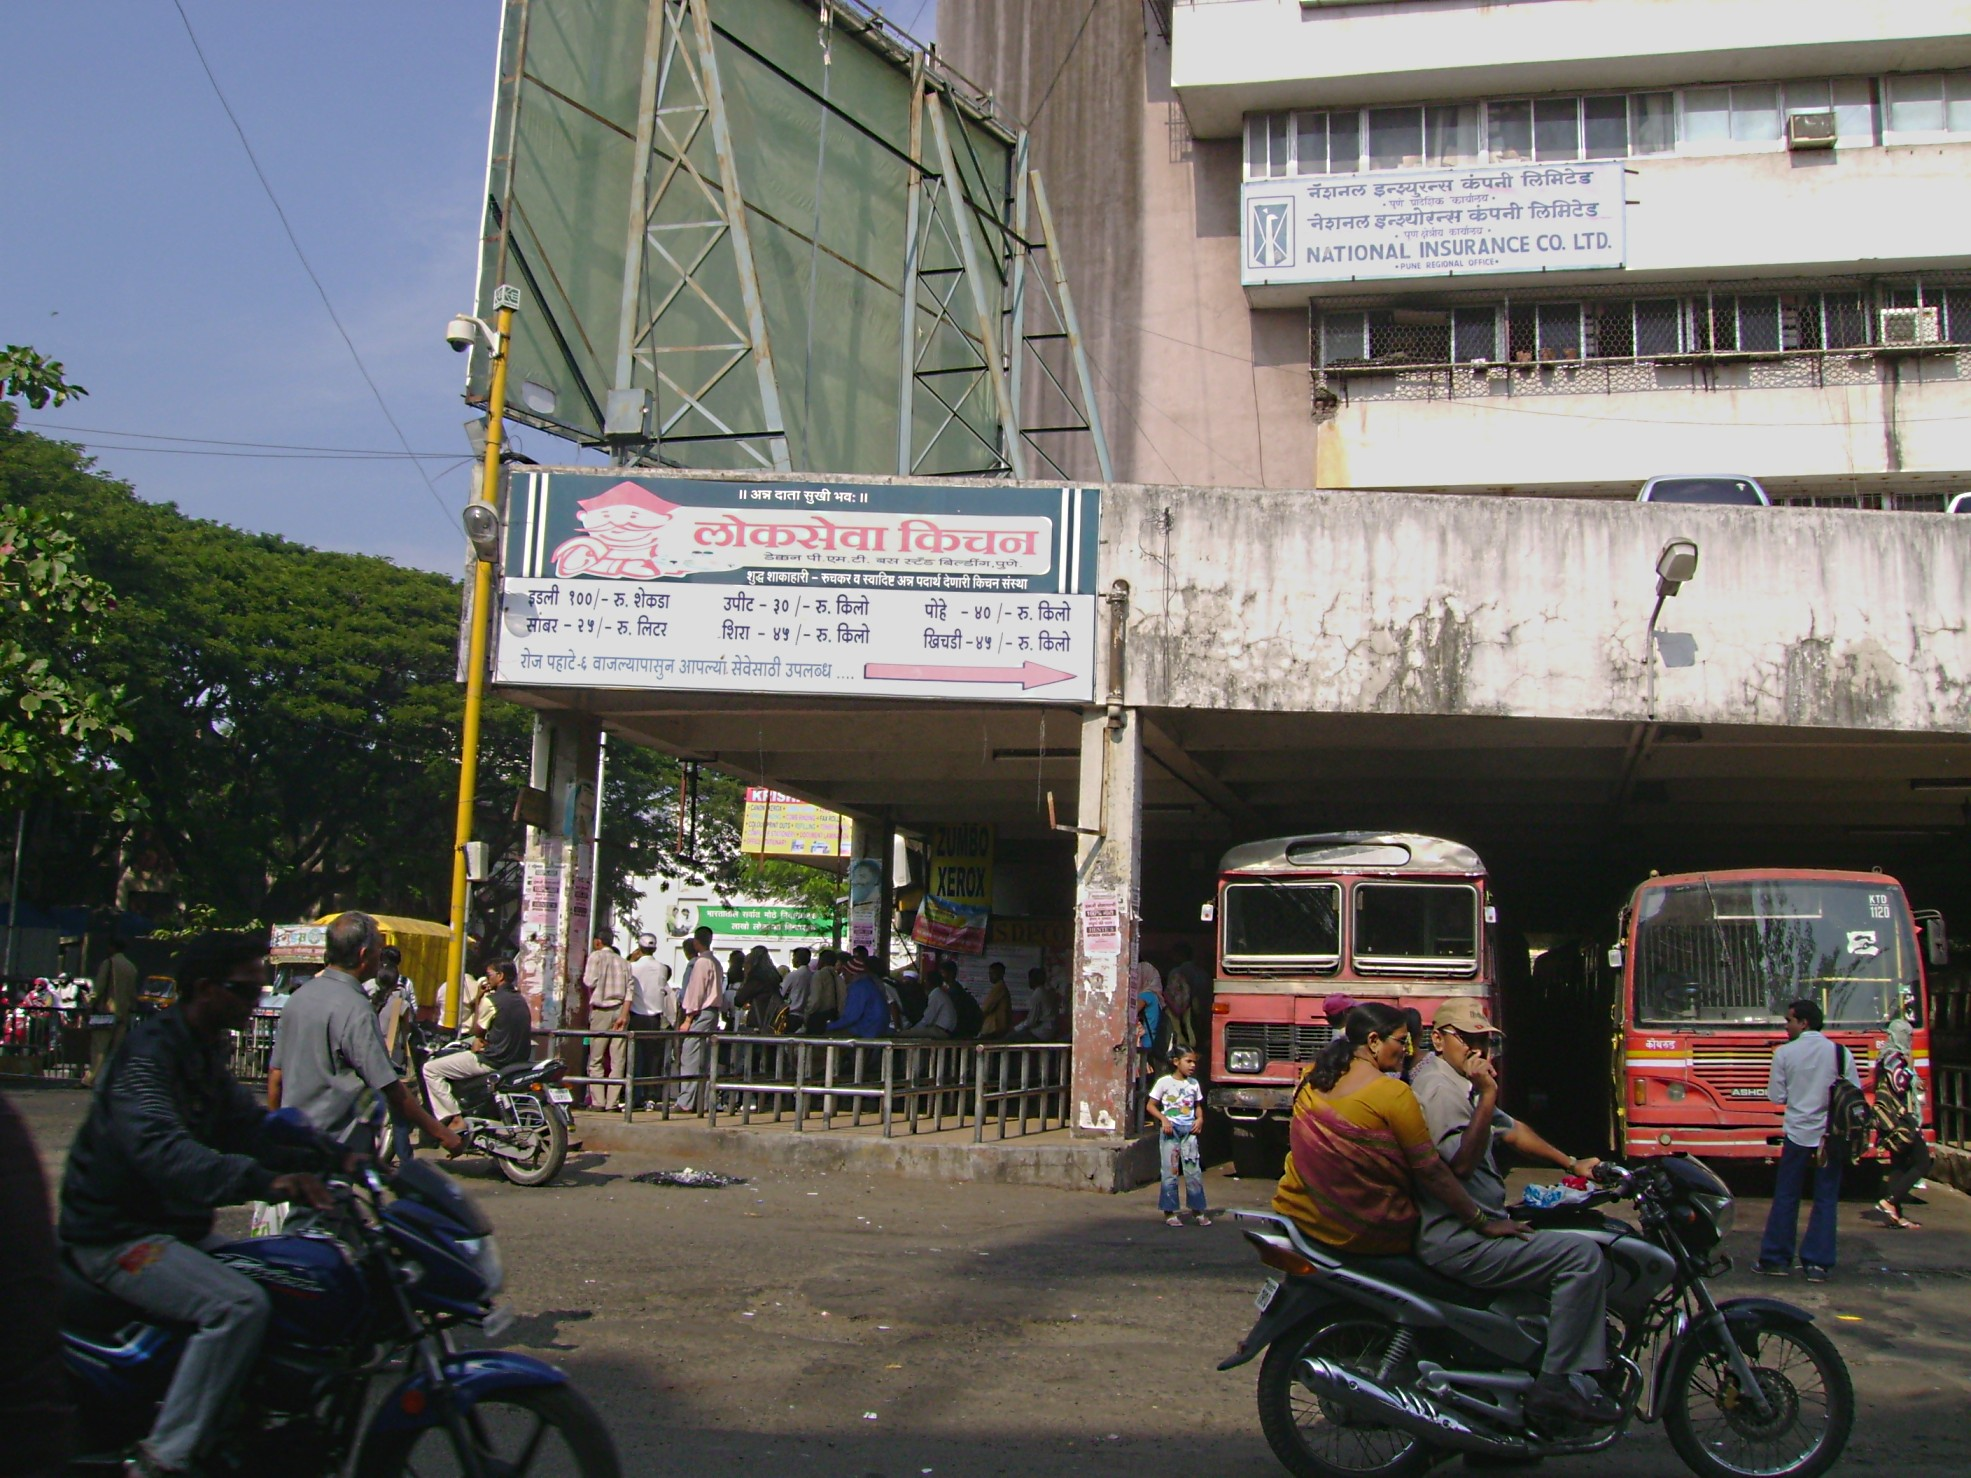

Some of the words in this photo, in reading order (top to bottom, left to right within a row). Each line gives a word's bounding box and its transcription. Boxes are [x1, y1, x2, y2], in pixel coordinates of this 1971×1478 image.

[1302, 181, 1370, 204] नॅशनल
[1369, 175, 1457, 200] इन्श्युरन्स
[1456, 169, 1519, 195] कंपनी
[1517, 165, 1598, 192] लिमिटेड
[1305, 210, 1374, 234] नेशनल
[1371, 207, 1464, 234] इन्श्योरन्स
[1467, 199, 1527, 224] कंपनी
[1526, 193, 1603, 223] लिमिटेड
[1300, 241, 1415, 267] NATIONAL
[1415, 233, 1533, 259] INSURANCE
[1533, 227, 1570, 260] CO.
[1571, 230, 1617, 255] LTD.
[749, 485, 773, 504] अन्न
[772, 484, 802, 506] दाता
[801, 485, 835, 509] सुखी
[832, 488, 858, 505] भवः
[688, 511, 893, 557] लोकसेवा
[893, 516, 1045, 559] किचन
[740, 567, 767, 587] शुद्ध
[757, 550, 805, 565] डेक्कन
[765, 567, 821, 588] शाकाहारी-
[818, 568, 852, 589] रुचकर
[804, 551, 873, 567] पी.एम.टी.
[851, 569, 861, 589] व
[861, 569, 895, 587] स्वादिष्ट
[873, 554, 903, 569] बस
[896, 571, 915, 590] अन्न
[902, 554, 938, 571] स्टँड
[915, 569, 943, 591] पदार्थ
[943, 572, 971, 591] देणारी
[937, 556, 997, 572] बिल्डींग,
[971, 571, 1001, 593] किचन
[993, 557, 1027, 574] पुणे.
[1001, 573, 1032, 593] संस्था
[523, 581, 563, 613] इडली
[522, 610, 575, 639] सांबर-
[565, 583, 611, 611] १००/-
[574, 613, 614, 639] २५/-
[611, 587, 632, 611] रु.
[612, 615, 635, 641] रु.
[631, 585, 674, 613] शेकडा
[634, 612, 676, 641] लिटर
[716, 616, 769, 644] शिरा-
[719, 587, 771, 615] उपीट-
[769, 592, 812, 621] ३०/-
[768, 620, 814, 647] ४५ /-
[812, 593, 833, 618] रु.
[813, 623, 835, 647] रु.
[832, 592, 876, 617] किलो
[835, 617, 875, 649] किलो
[917, 594, 971, 624] पोहे-
[917, 623, 975, 656] खिचडी-
[972, 600, 1014, 624] ४०/-
[973, 630, 1015, 655] ४५ /-
[1014, 600, 1036, 625] रु.
[1015, 633, 1036, 657] रु.
[1035, 598, 1076, 625] किलो
[1035, 627, 1076, 656] किलो
[515, 642, 545, 675] रोज
[545, 647, 591, 679] पहाटे-६
[591, 651, 677, 687] वाजल्यापासुन
[677, 650, 729, 680] आपल्या
[728, 649, 785, 683] सेवेसाठी
[783, 657, 861, 686] उपलब्ध ....
[933, 820, 995, 860] ZUMBO
[933, 859, 991, 903] XEROX